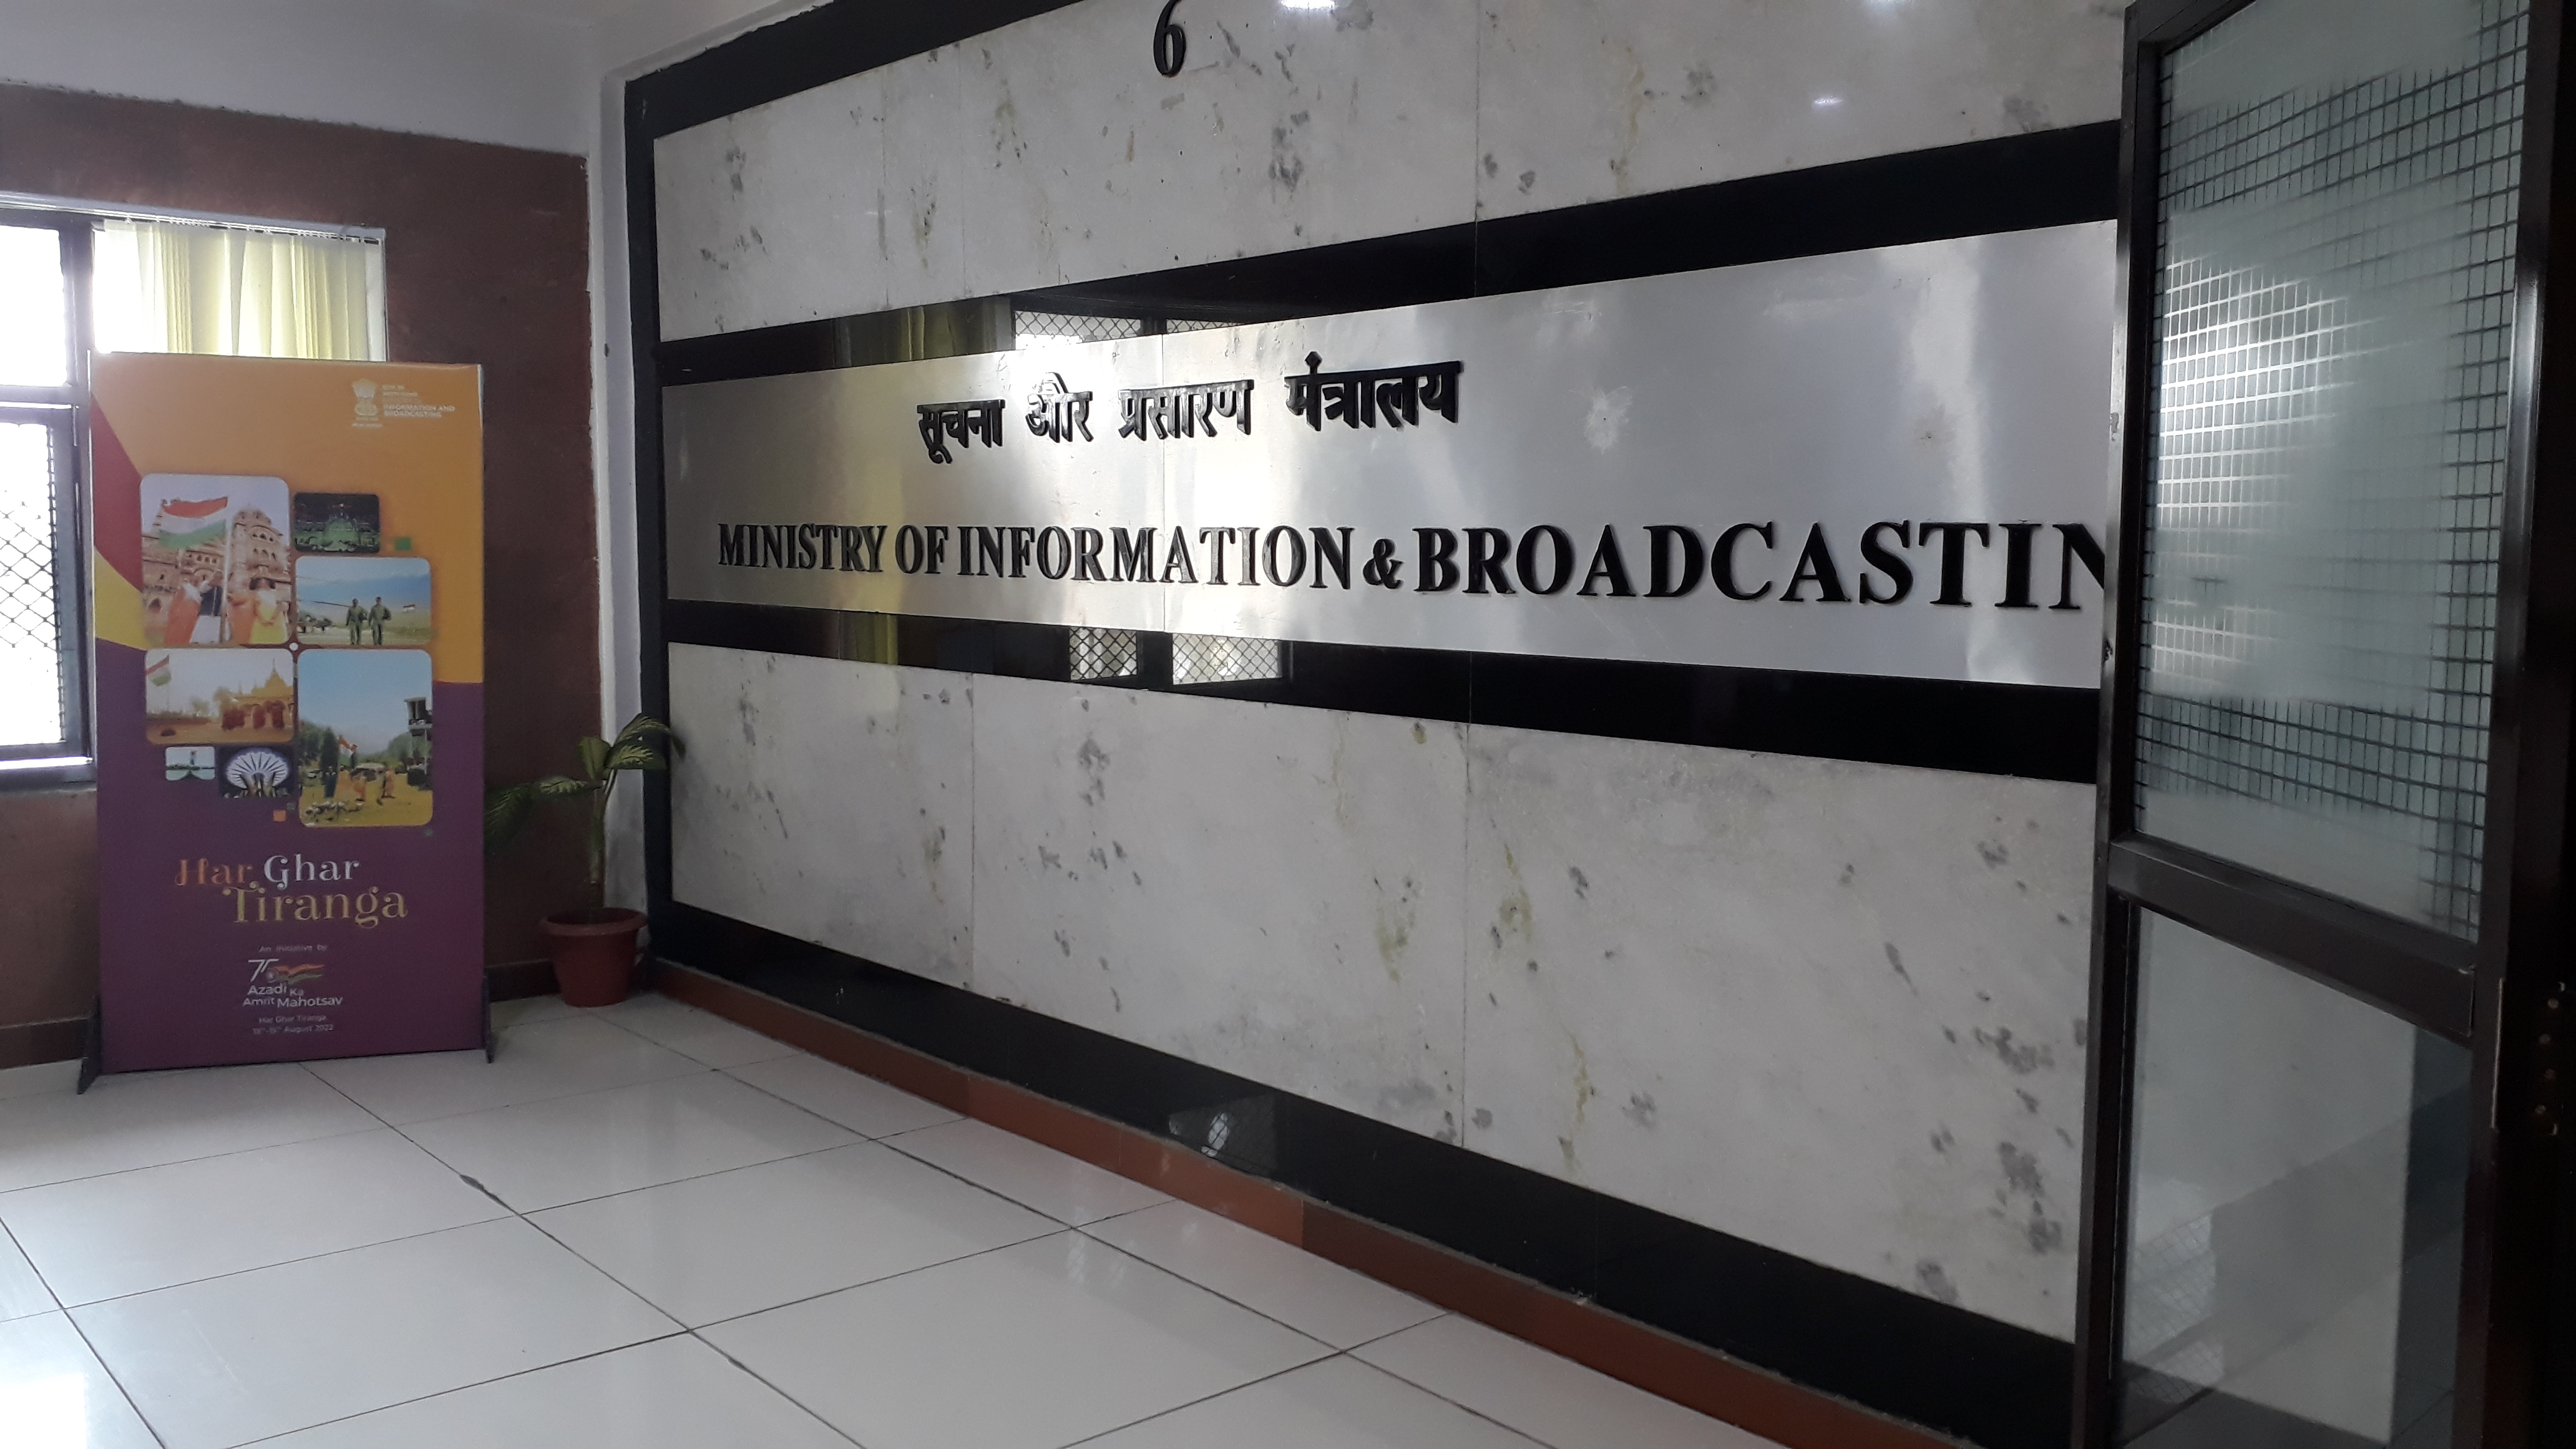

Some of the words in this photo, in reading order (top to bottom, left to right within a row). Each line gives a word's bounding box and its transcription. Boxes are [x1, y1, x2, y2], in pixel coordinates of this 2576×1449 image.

[912, 393, 1007, 476] सूचना
[1020, 367, 1095, 451] और
[1115, 376, 1259, 448] प्रसारण
[1282, 349, 1468, 442] मंत्रालय
[718, 515, 894, 575] MINISTRY
[885, 516, 952, 587] OF
[954, 520, 1360, 599] INFORMATION
[1355, 529, 1410, 598] &
[1407, 512, 2118, 622] BROADCASTIN
[172, 854, 258, 890] Har
[258, 851, 361, 894] Ghar
[218, 879, 409, 933] Tiranga
[240, 993, 276, 1009] Amrit
[245, 980, 289, 997] Azadi
[287, 987, 306, 998] Ka
[275, 994, 344, 1010] Mahotsav